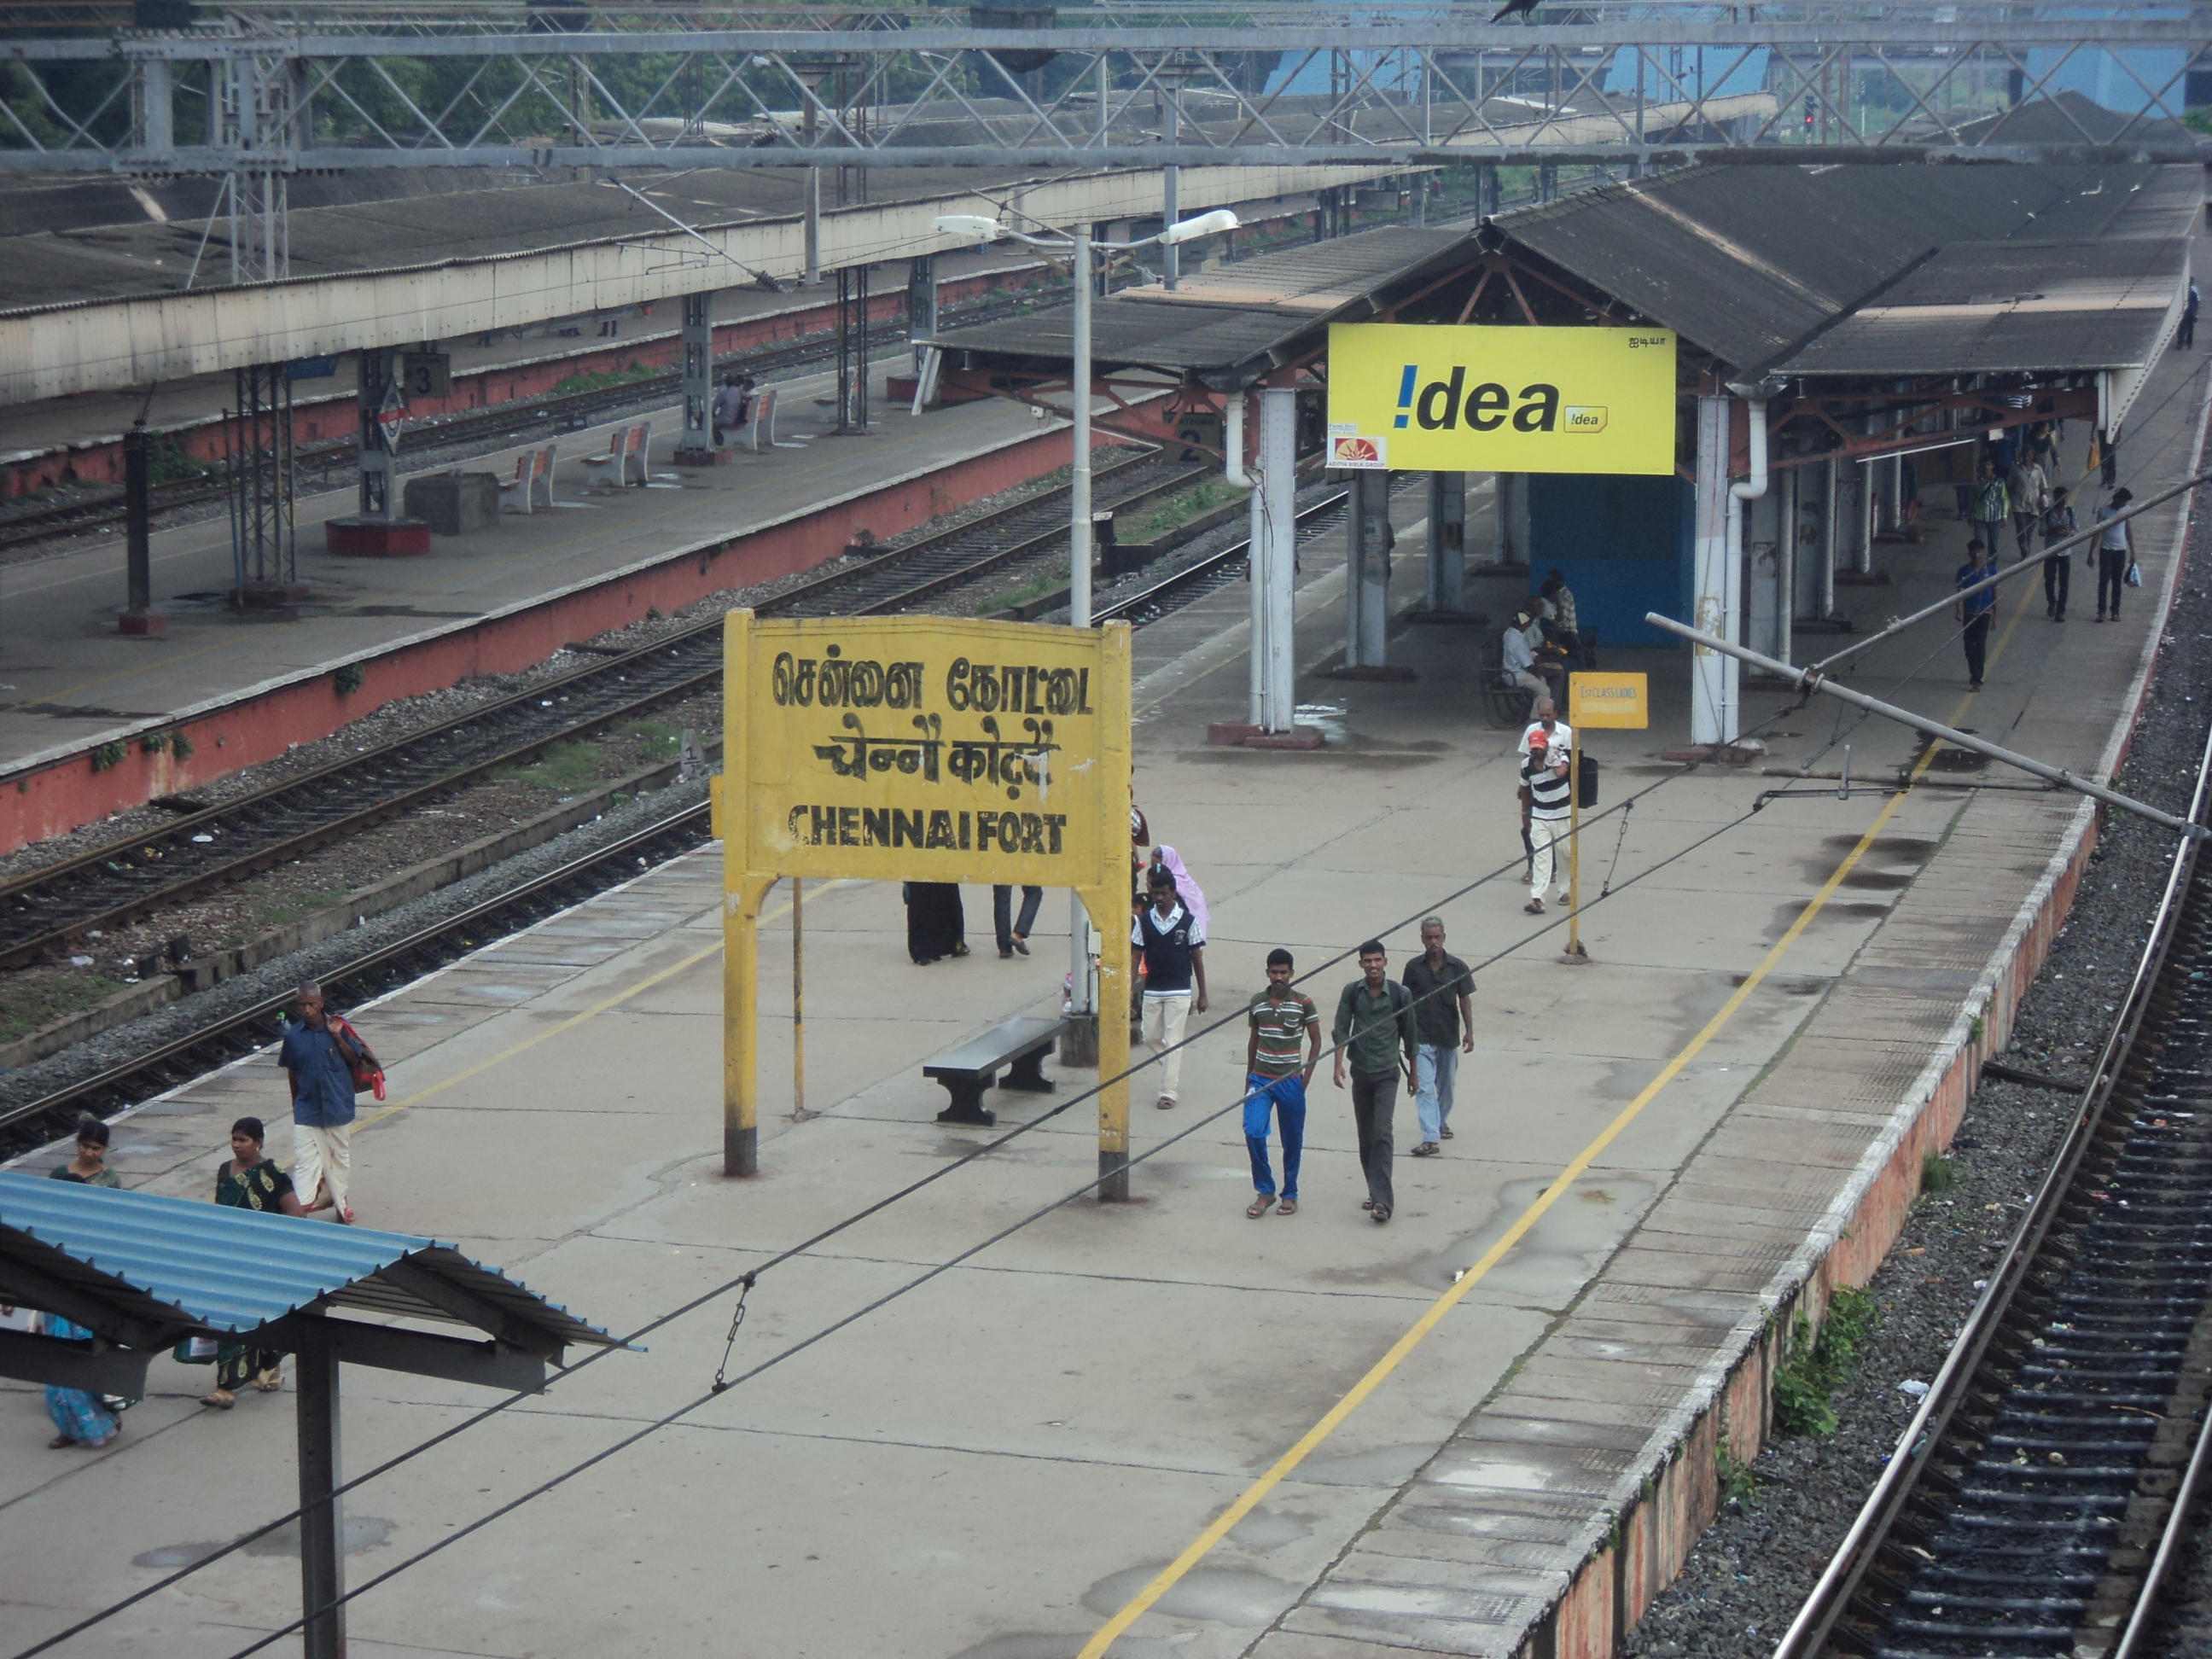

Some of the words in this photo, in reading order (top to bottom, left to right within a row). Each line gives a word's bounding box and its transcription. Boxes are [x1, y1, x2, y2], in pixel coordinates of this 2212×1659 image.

[1382, 353, 1573, 437] !dea
[770, 635, 931, 717] எசன்னை
[935, 650, 1099, 723] கோட்டை
[1577, 681, 1640, 703] ISTCLASSLADIES
[805, 705, 952, 785] चेन्नै
[944, 702, 1067, 795] कोट्टै
[786, 795, 1072, 861] CHENNAIFORT